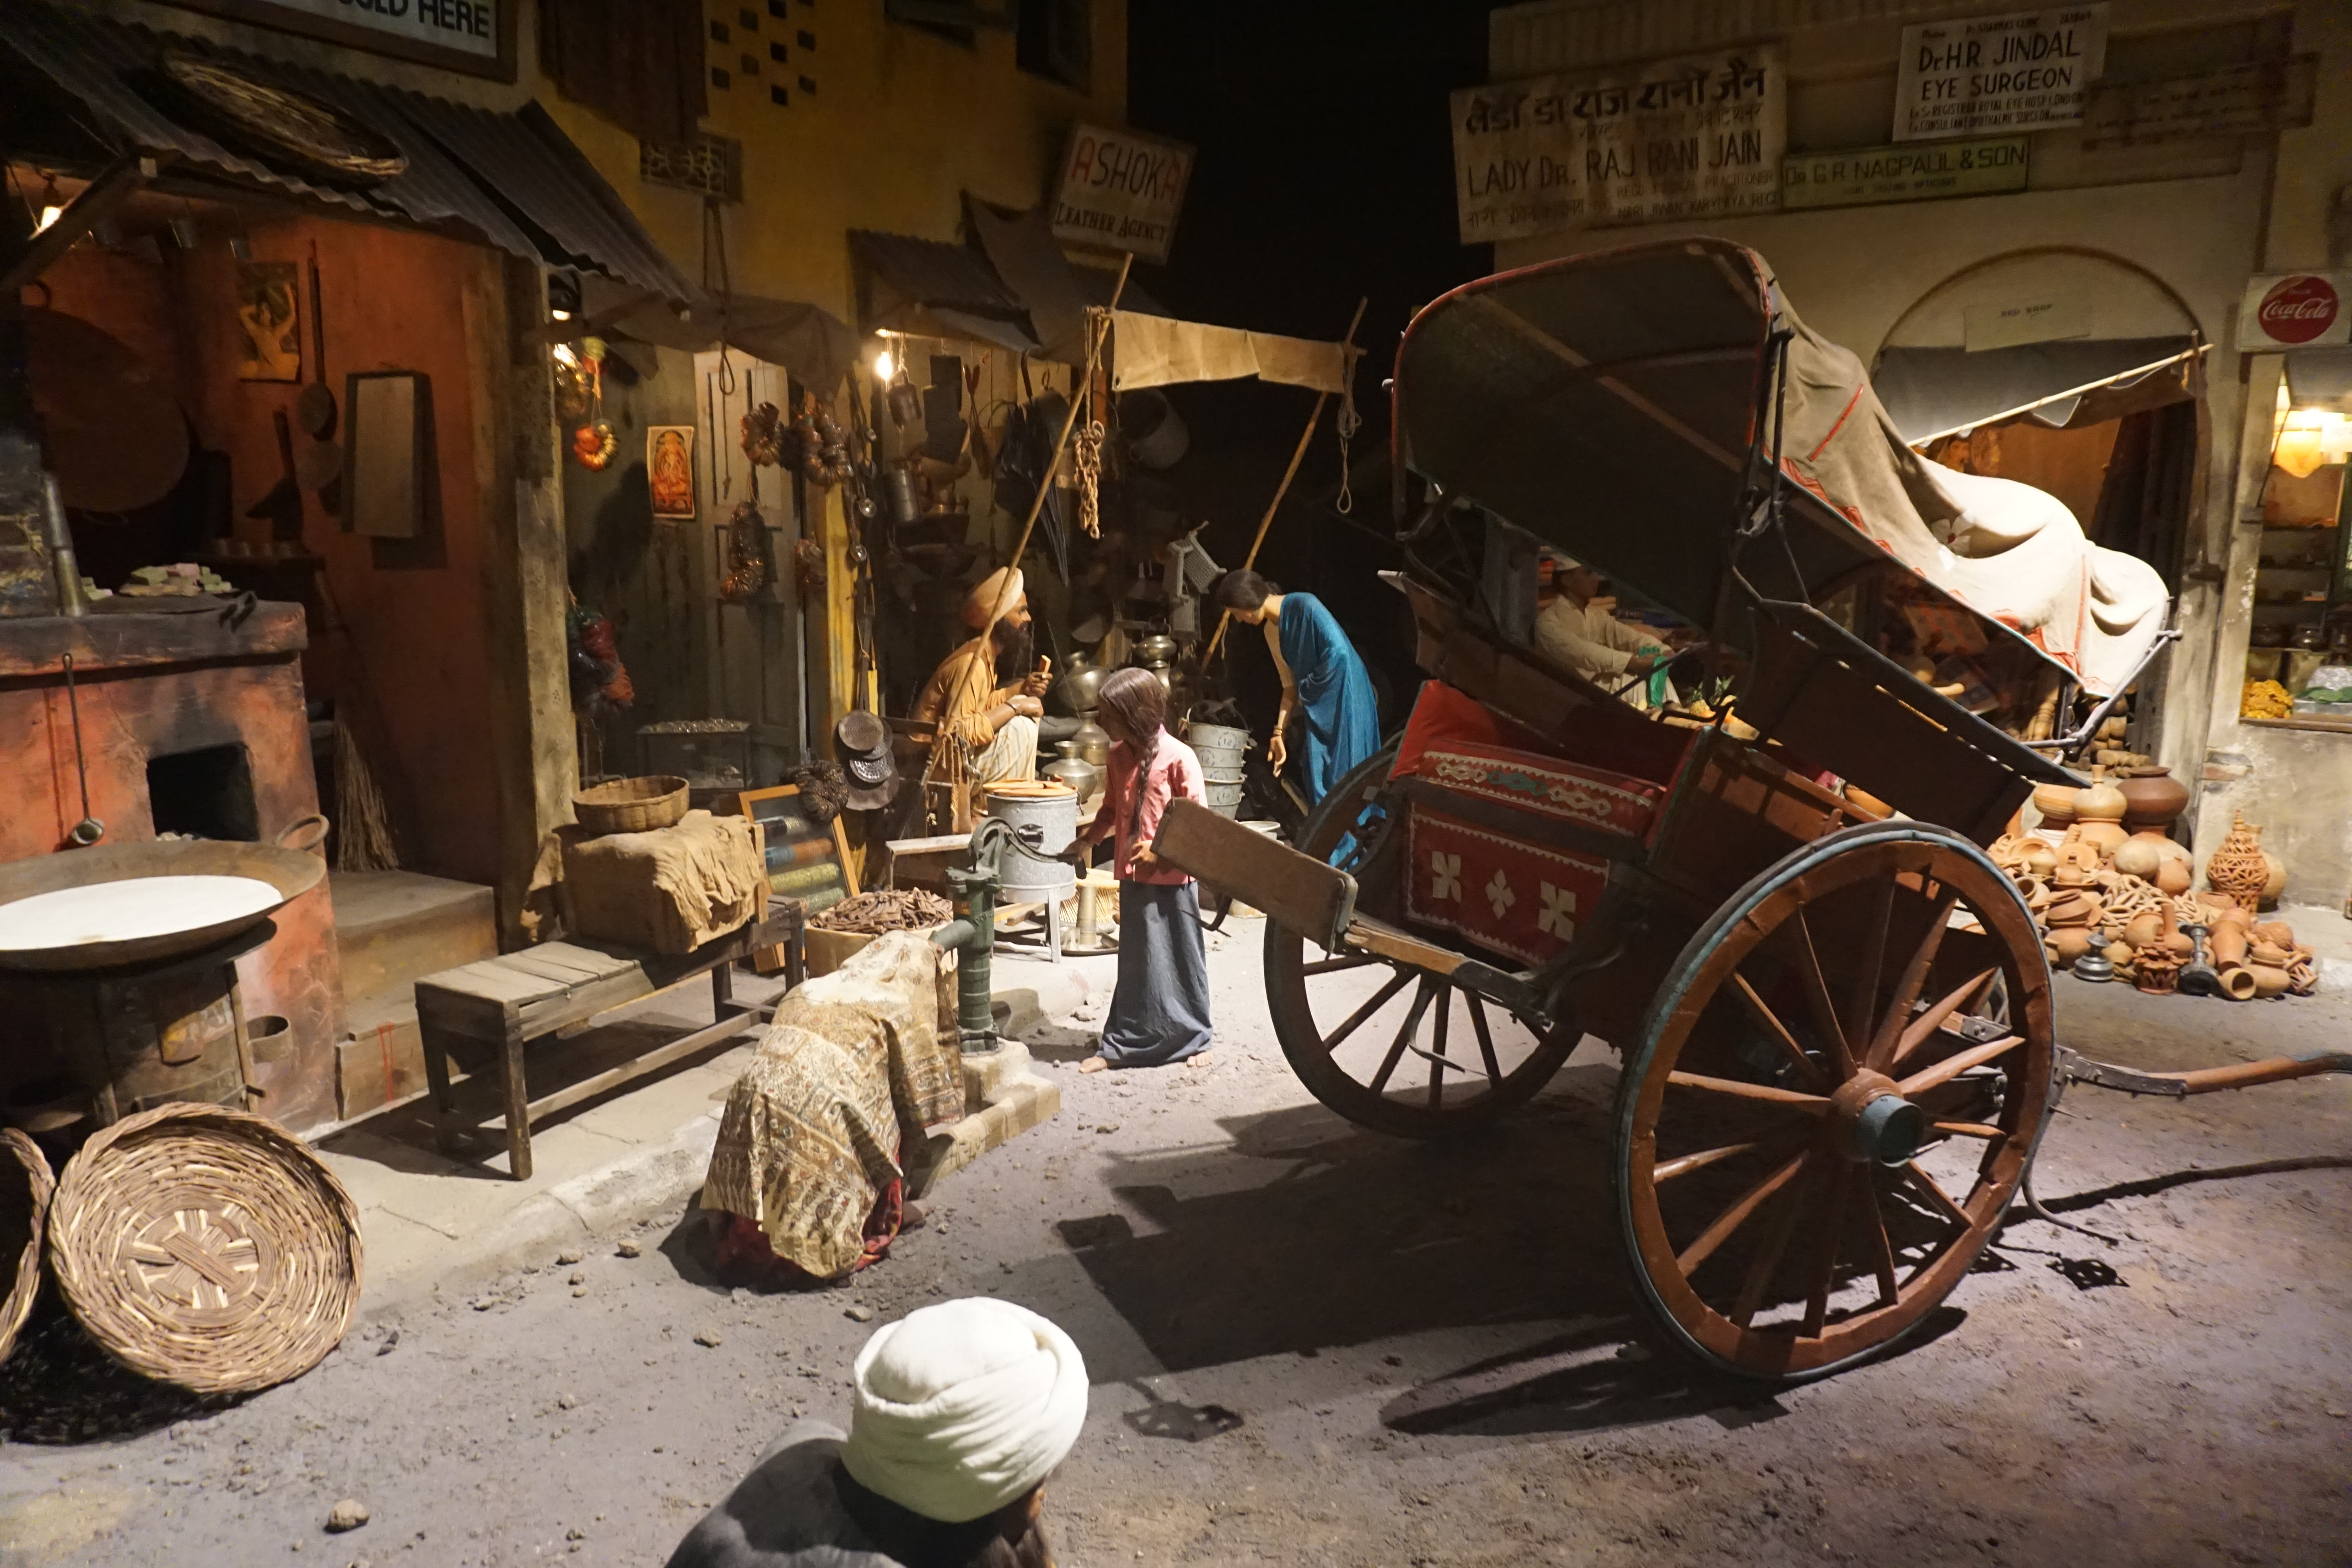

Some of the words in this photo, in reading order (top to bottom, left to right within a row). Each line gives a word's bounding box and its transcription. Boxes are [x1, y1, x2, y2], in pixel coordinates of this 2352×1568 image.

[413, 1, 494, 46] HERE
[1915, 38, 1982, 78] Dr.H.R
[1991, 29, 2080, 67] JINDAL
[1463, 89, 1530, 138] लेडी
[1532, 88, 1569, 129] डी
[1572, 77, 1632, 125] राज
[1635, 59, 1712, 116] रानी
[1691, 100, 1733, 132] प्रकटि
[1707, 53, 1768, 109] जैन
[1920, 76, 1959, 103] स्ट्रिया
[1922, 98, 2004, 120] Sr REGISTRARROYAL
[1969, 65, 2075, 98] SURGEON
[1053, 198, 1120, 236] LEATHER
[1069, 126, 1172, 200] ASHOK
[1115, 213, 1170, 245] AGENCY
[1465, 154, 1532, 200] LADY
[1501, 197, 1542, 227] जीवन
[1536, 154, 1579, 189] DR.
[1584, 143, 1638, 182] RAJ
[1613, 181, 1646, 201] RECO
[1613, 203, 1646, 222] NARI
[1649, 200, 1686, 219] JIWAN
[1644, 135, 1702, 178] RANI
[1688, 193, 1748, 216] १४२१४
[1706, 128, 1763, 170] JAIN
[1702, 168, 1775, 193] PRACIMONER
[1814, 160, 1846, 189] GR
[1852, 150, 1956, 181] अमराका
[1957, 149, 1973, 173] बोल्ड
[1976, 142, 2029, 171] SON
[2257, 296, 2335, 324] CocaCola